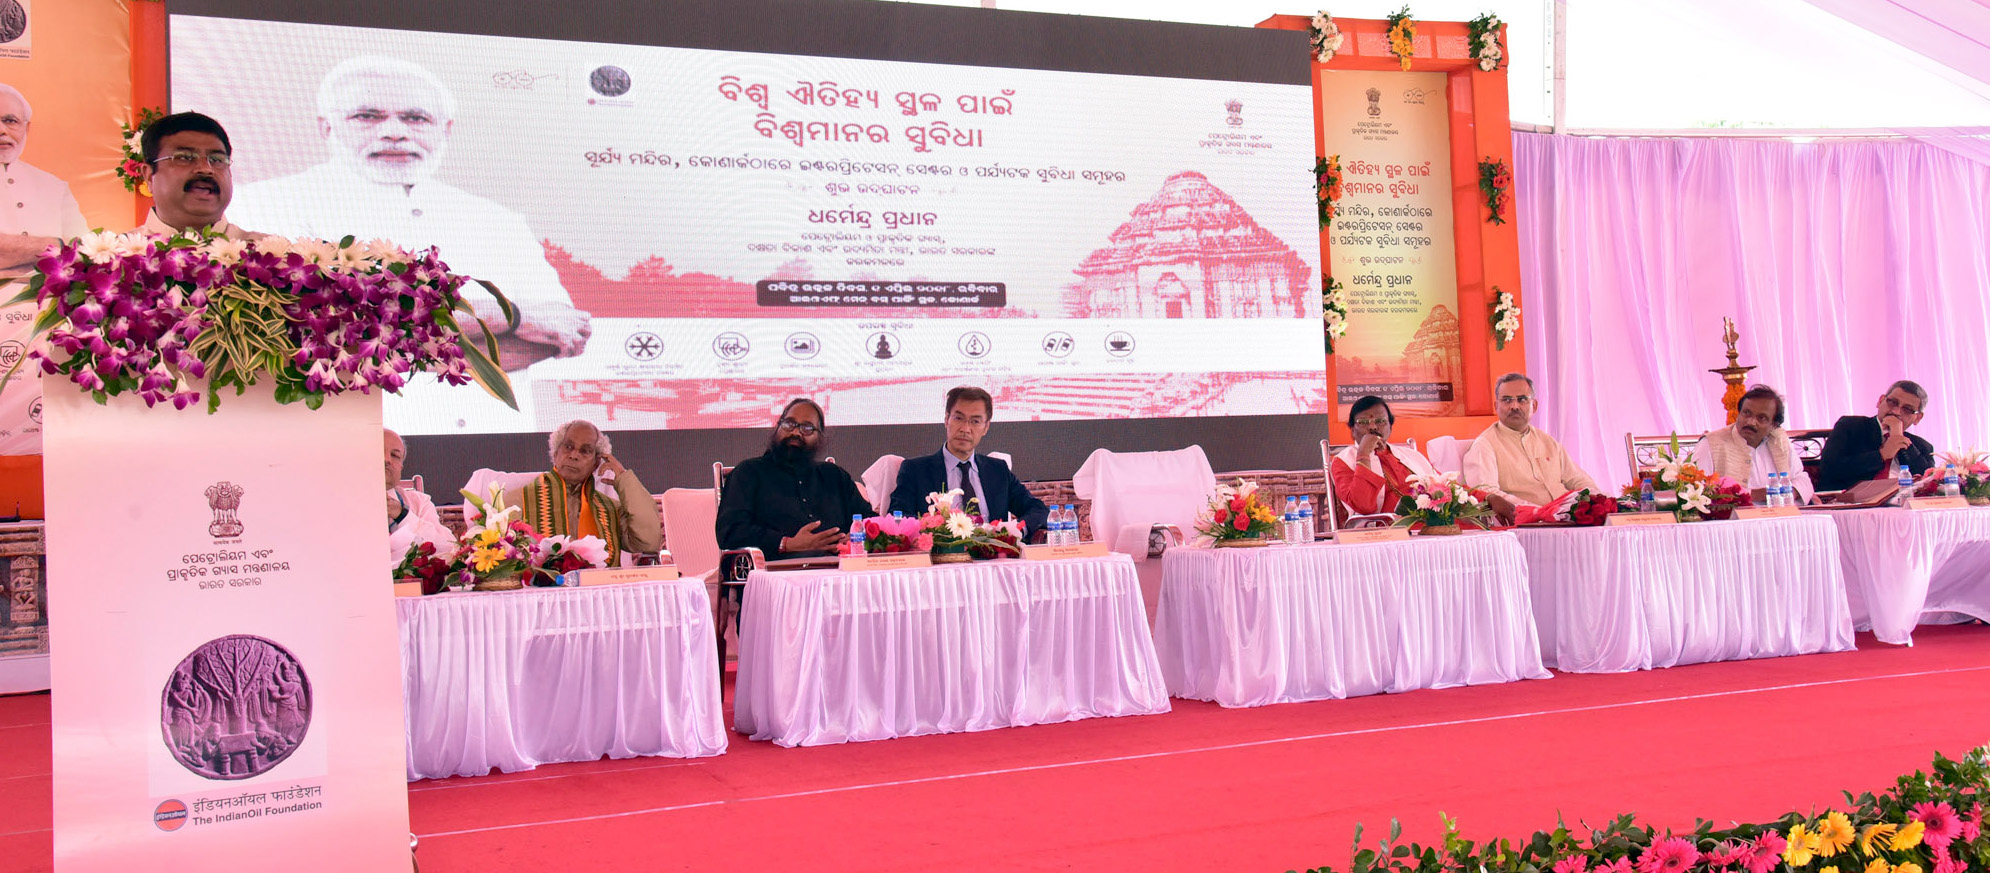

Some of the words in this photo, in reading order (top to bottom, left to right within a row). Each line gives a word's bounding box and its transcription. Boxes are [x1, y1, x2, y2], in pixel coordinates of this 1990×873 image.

[712, 68, 773, 115] ବିଶ୍ବ
[787, 77, 880, 110] ଐତିହ୍ୟ
[892, 84, 942, 119] ସୁଳ
[953, 87, 1022, 121] ପାଇଁ
[745, 105, 894, 151] ବିଶ୍ୱମାନର
[900, 114, 988, 156] ସୁବିଧା
[581, 139, 627, 176] ସୂର୍ଯ୍ୟ
[625, 143, 677, 171] ମନ୍ଦିର,
[687, 149, 797, 175] କୋଣାର୍କଠାରେ
[799, 154, 903, 180] ଇଣ୍ଟରପ୍ରିଟେସନ୍
[853, 181, 927, 201] ଉଦ୍‌ଘାଟନ
[901, 158, 953, 178] ସେଣ୍ଟର
[967, 161, 1035, 181] ପର୍ଯ୍ୟଟକ
[1034, 161, 1082, 186] ସୁବିଧା
[1079, 163, 1128, 189] ସମୂହର
[1341, 155, 1385, 179] ଐତିହ୍ୟ
[1341, 179, 1388, 199] ଶ୍ୱମାନର
[1380, 161, 1408, 185] ସୁଳ
[1383, 173, 1423, 204] ସୁବିଧା
[1403, 157, 1434, 182] ପାଇଁ
[806, 201, 877, 233] ଧର୍ମେନ୍ଦ୍ର
[875, 204, 940, 233] ପ୍ରଧାନ
[1339, 195, 1375, 221] ମନ୍ଦିର,
[1329, 212, 1399, 237] ଇଣ୍ଟରପ୍ରିଟେସନ୍
[1373, 194, 1438, 221] କୋଣାର୍କଠାରେ
[1389, 215, 1431, 236] ସେଣ୍ଟର
[1330, 229, 1376, 249] ପର୍ଯ୍ୟଟକ
[1362, 226, 1403, 251] ସୁବିଧା
[1397, 229, 1436, 253] ସମ୍ଭହର
[1347, 263, 1387, 292] ଧର୍ମେନ୍ଦ୍ର
[1383, 271, 1418, 291] ପ୍ରଧାନ
[162, 557, 213, 585] ପ୍ରାକୃତିକ
[191, 577, 229, 593] ଭାରତ
[178, 543, 251, 570] ପେଟ୍ରୋଲିୟମ
[207, 560, 241, 578] ଗ୍ଯାପ
[225, 572, 267, 590] ସରକାର
[247, 544, 276, 561] ଏଚଂ
[237, 555, 296, 578] ମନ୍ତ୍ରଣାଳୟ
[189, 809, 218, 829] The
[186, 785, 269, 817] इंडियनऑयल
[212, 805, 267, 826] IndianOil
[261, 796, 327, 819] Foundation
[267, 779, 325, 805] फाउंडेशन